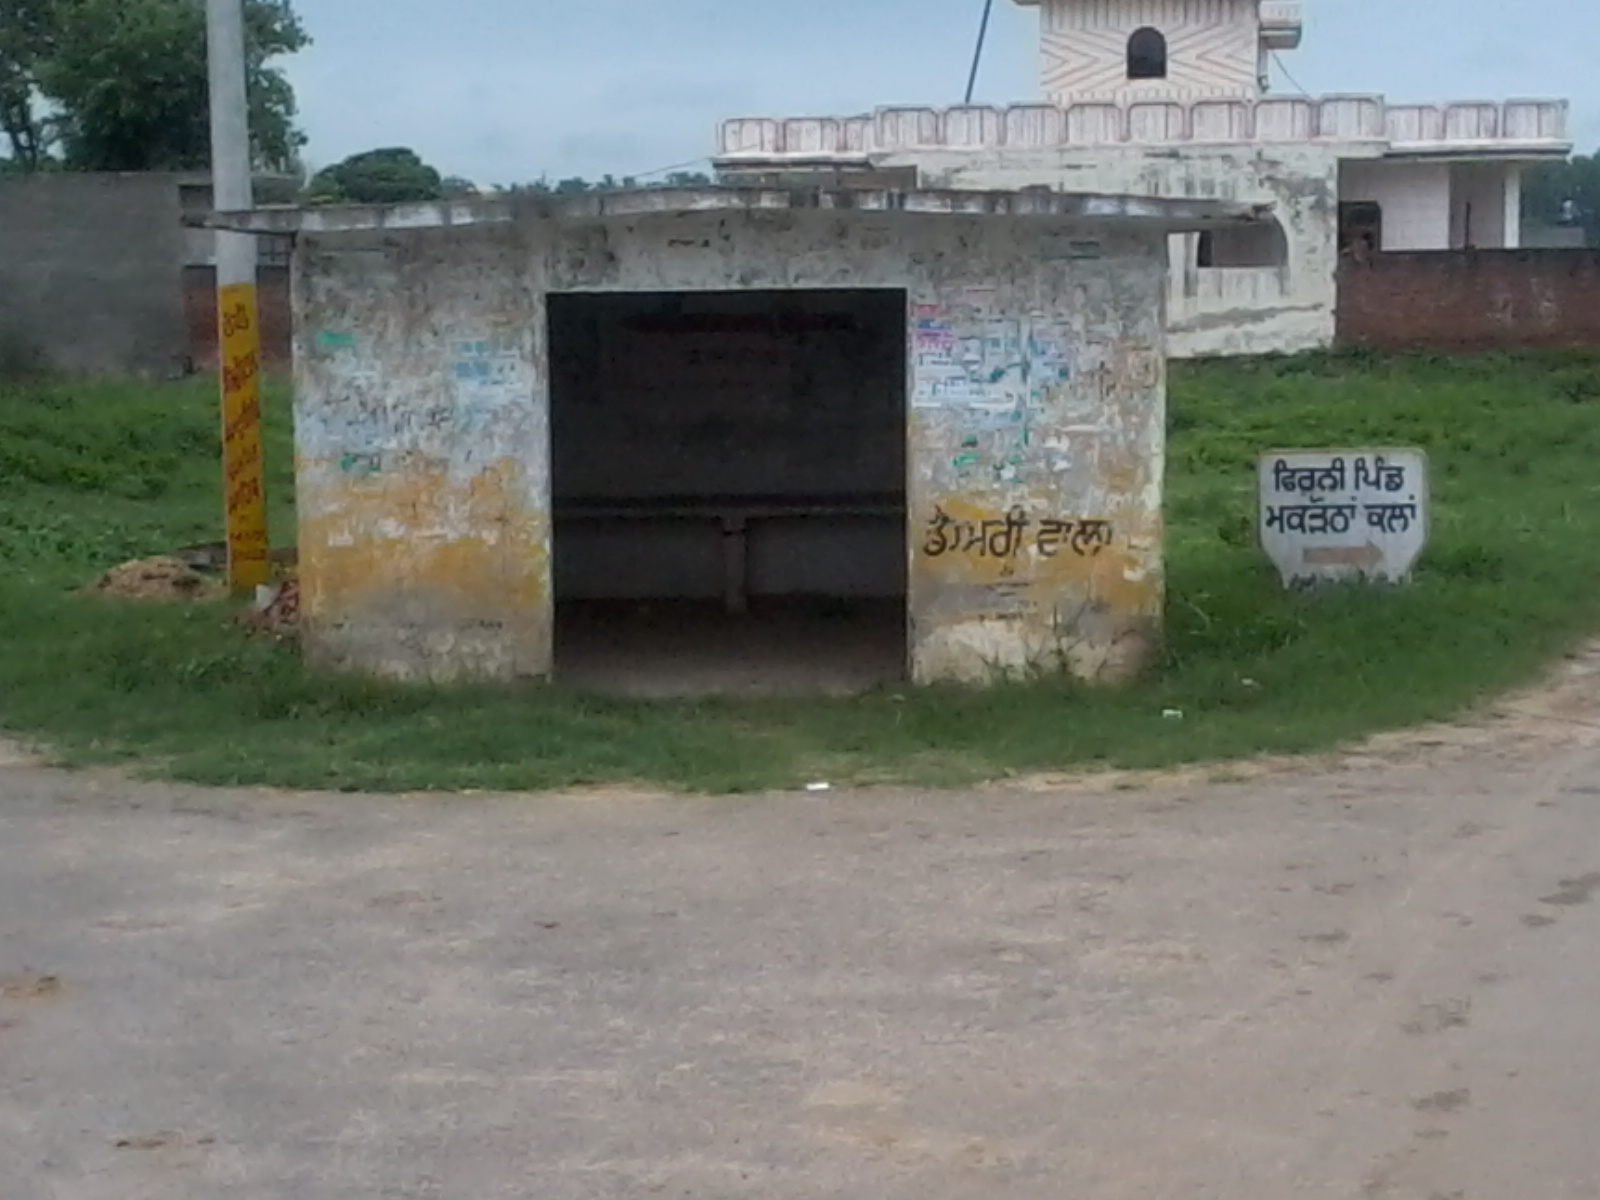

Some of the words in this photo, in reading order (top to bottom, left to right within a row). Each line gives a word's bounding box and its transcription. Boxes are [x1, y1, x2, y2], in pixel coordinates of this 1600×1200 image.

[1269, 449, 1353, 498] ਫਿਰਈ
[1348, 451, 1413, 497] ਪਿੰਡ
[1259, 492, 1363, 541] ਮਕੜੋਠਾਂ
[1360, 493, 1423, 540] ਕਲਾਂ